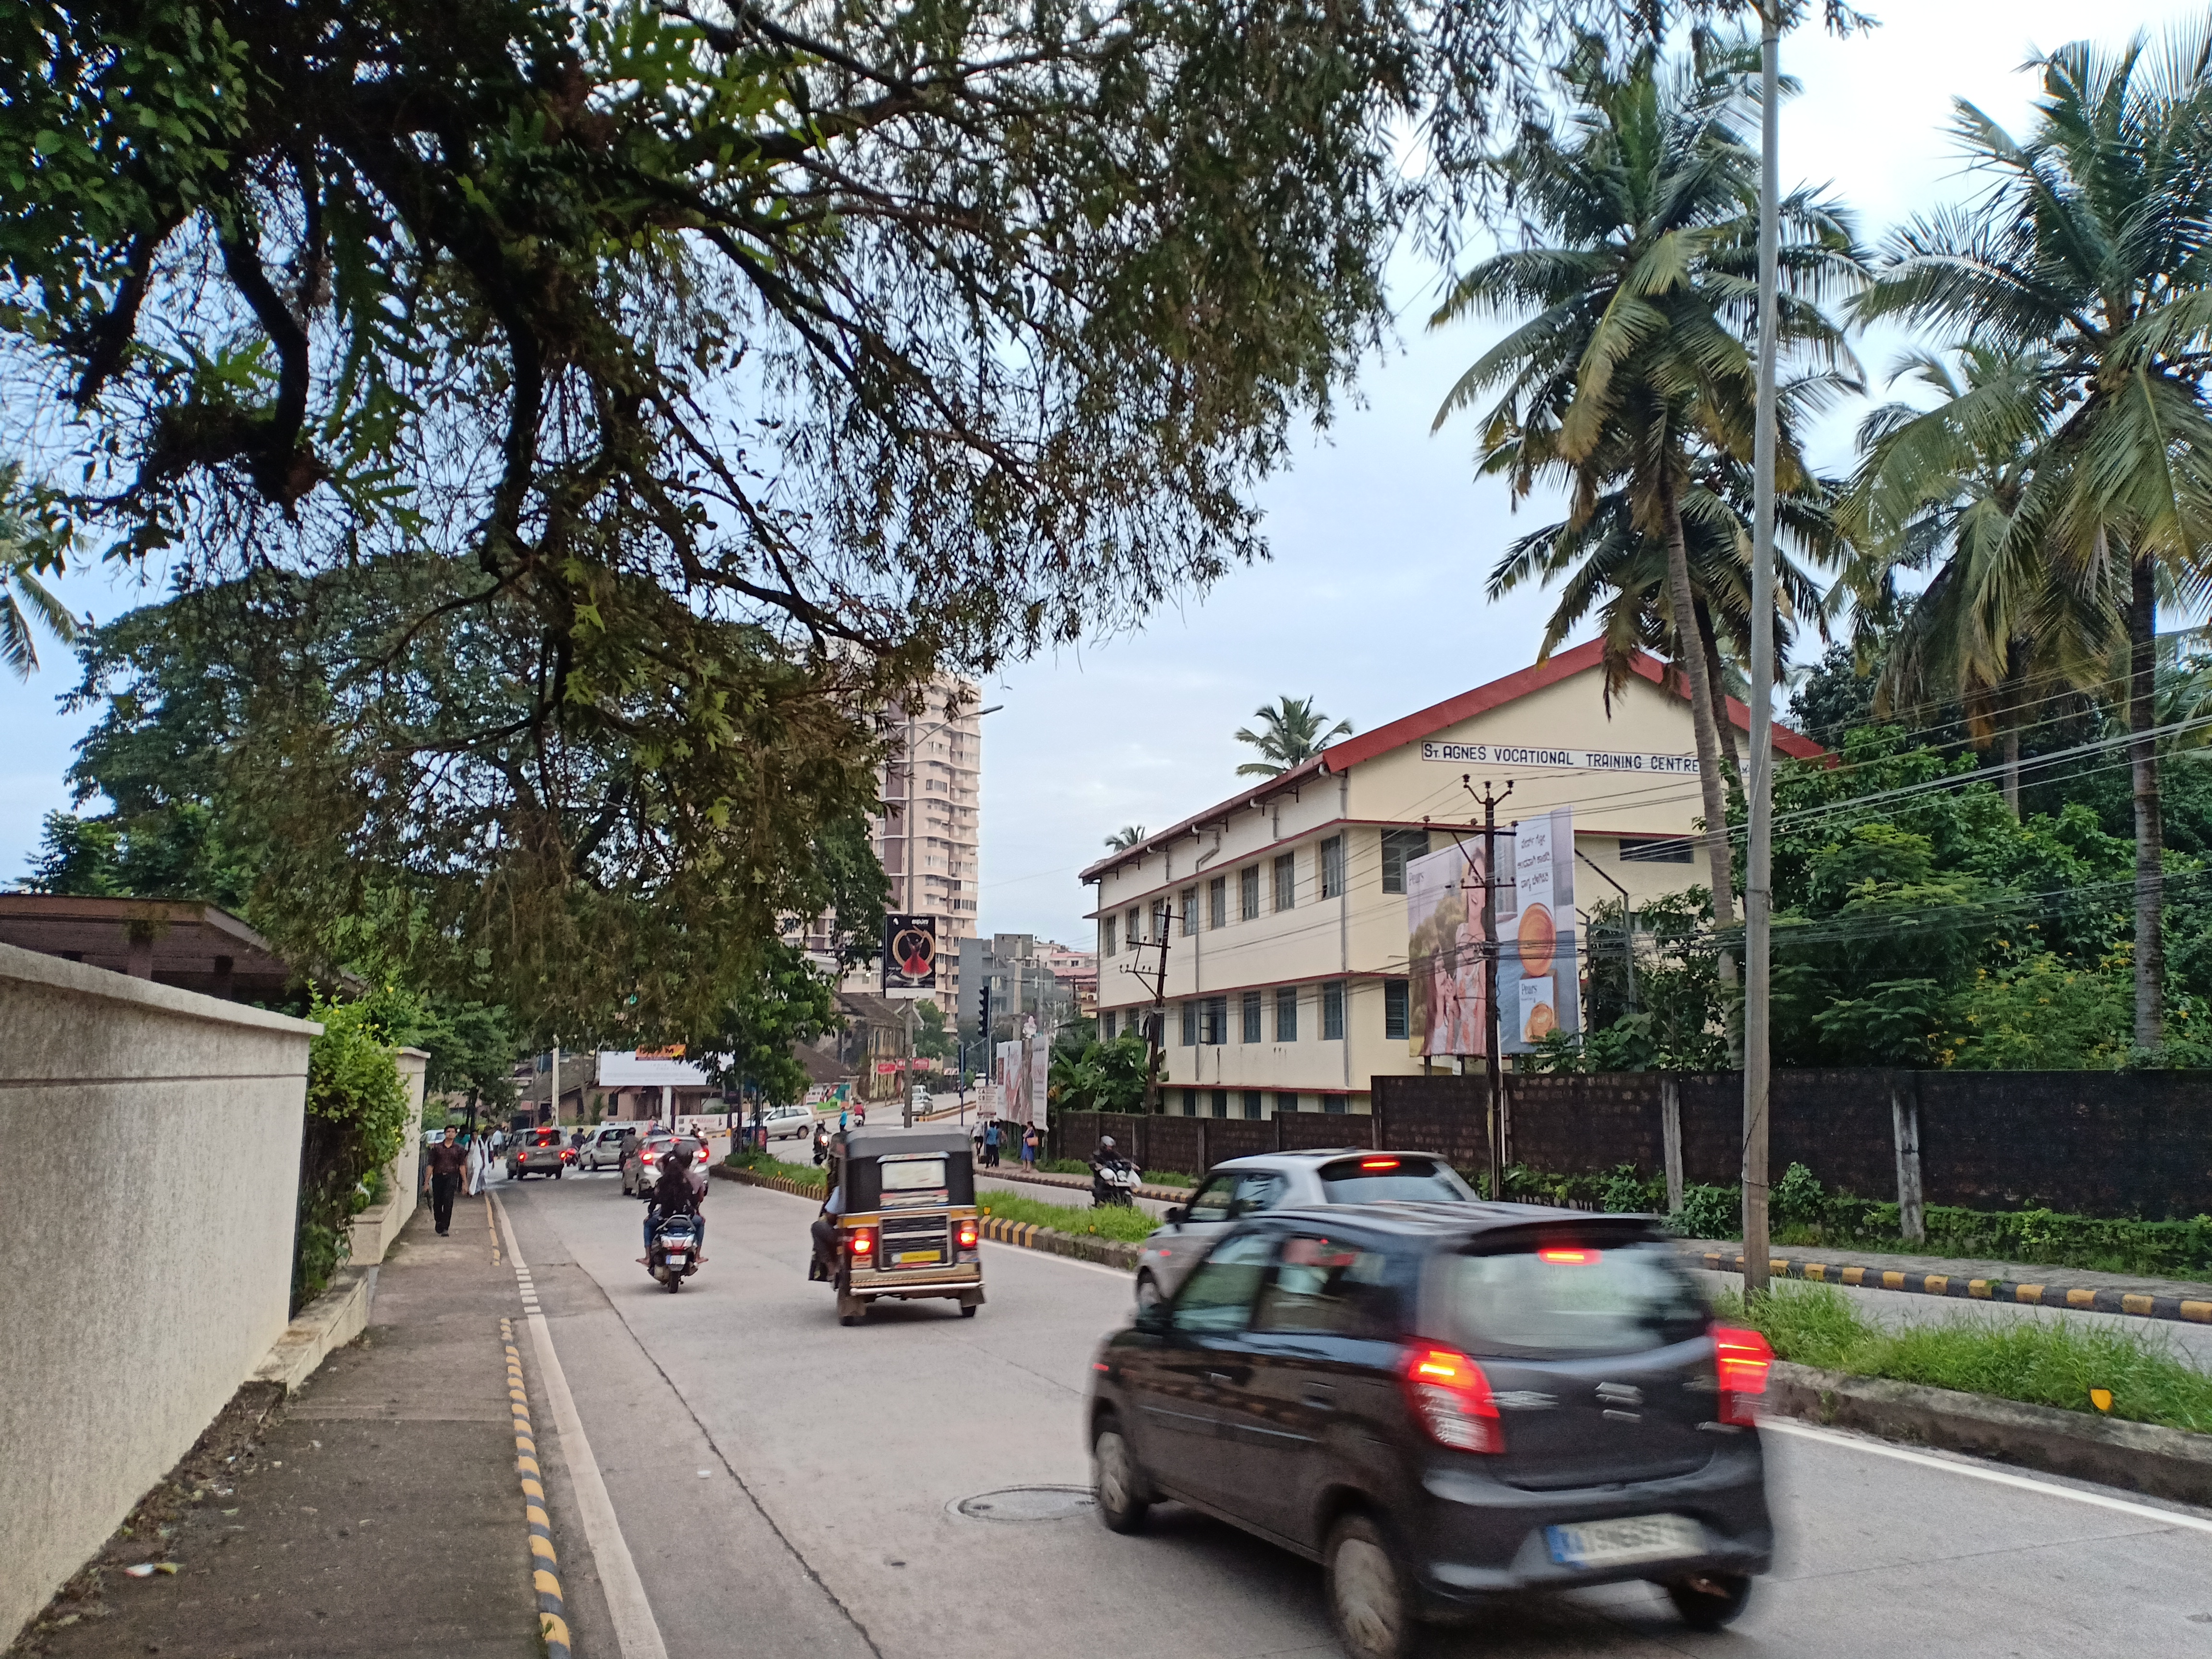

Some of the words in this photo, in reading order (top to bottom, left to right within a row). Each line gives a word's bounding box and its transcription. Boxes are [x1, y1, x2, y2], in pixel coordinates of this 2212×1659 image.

[1423, 740, 1488, 763] Sr. AGNES
[1492, 746, 1577, 768] VOCATIONAL
[1585, 749, 1644, 773] TRAINING
[1649, 755, 1701, 774] CENTRE